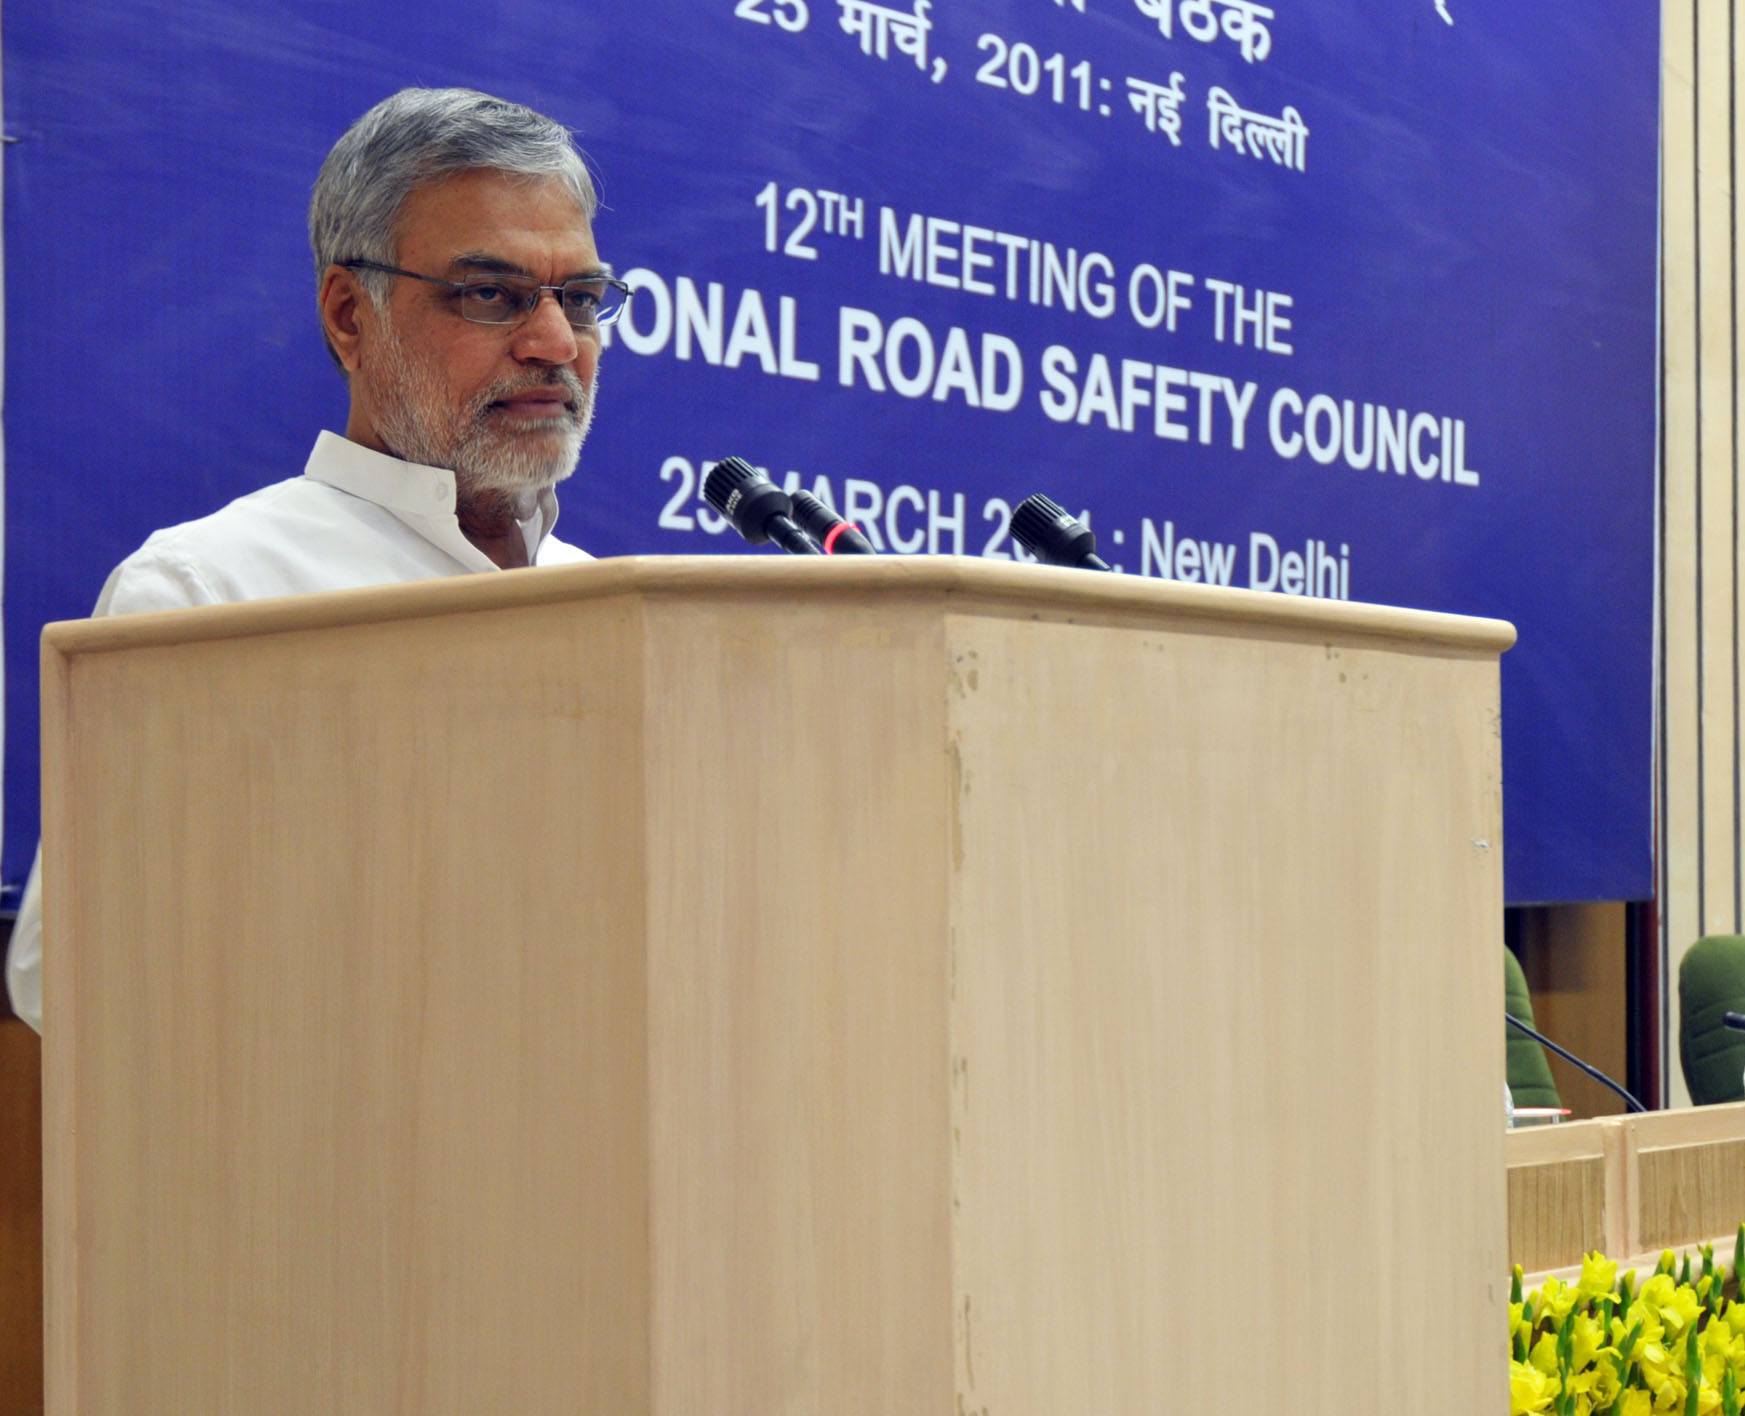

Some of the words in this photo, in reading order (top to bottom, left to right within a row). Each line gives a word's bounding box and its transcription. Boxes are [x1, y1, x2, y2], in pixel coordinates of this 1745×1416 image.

[836, 2, 938, 79] मार्च
[970, 29, 1106, 117] 2011
[1127, 65, 1187, 149] नई
[1202, 85, 1318, 173] दिल्ली
[587, 261, 824, 387] ONAL
[747, 173, 872, 269] 12TH
[833, 300, 1028, 420] ROAD
[875, 200, 1119, 321] MEETING
[1035, 342, 1264, 455] SAFETY
[1121, 256, 1197, 337] OF
[1203, 273, 1299, 363] THE
[1263, 383, 1484, 494] COUNCIL
[1132, 514, 1249, 594] New
[1244, 526, 1355, 605] Delhi